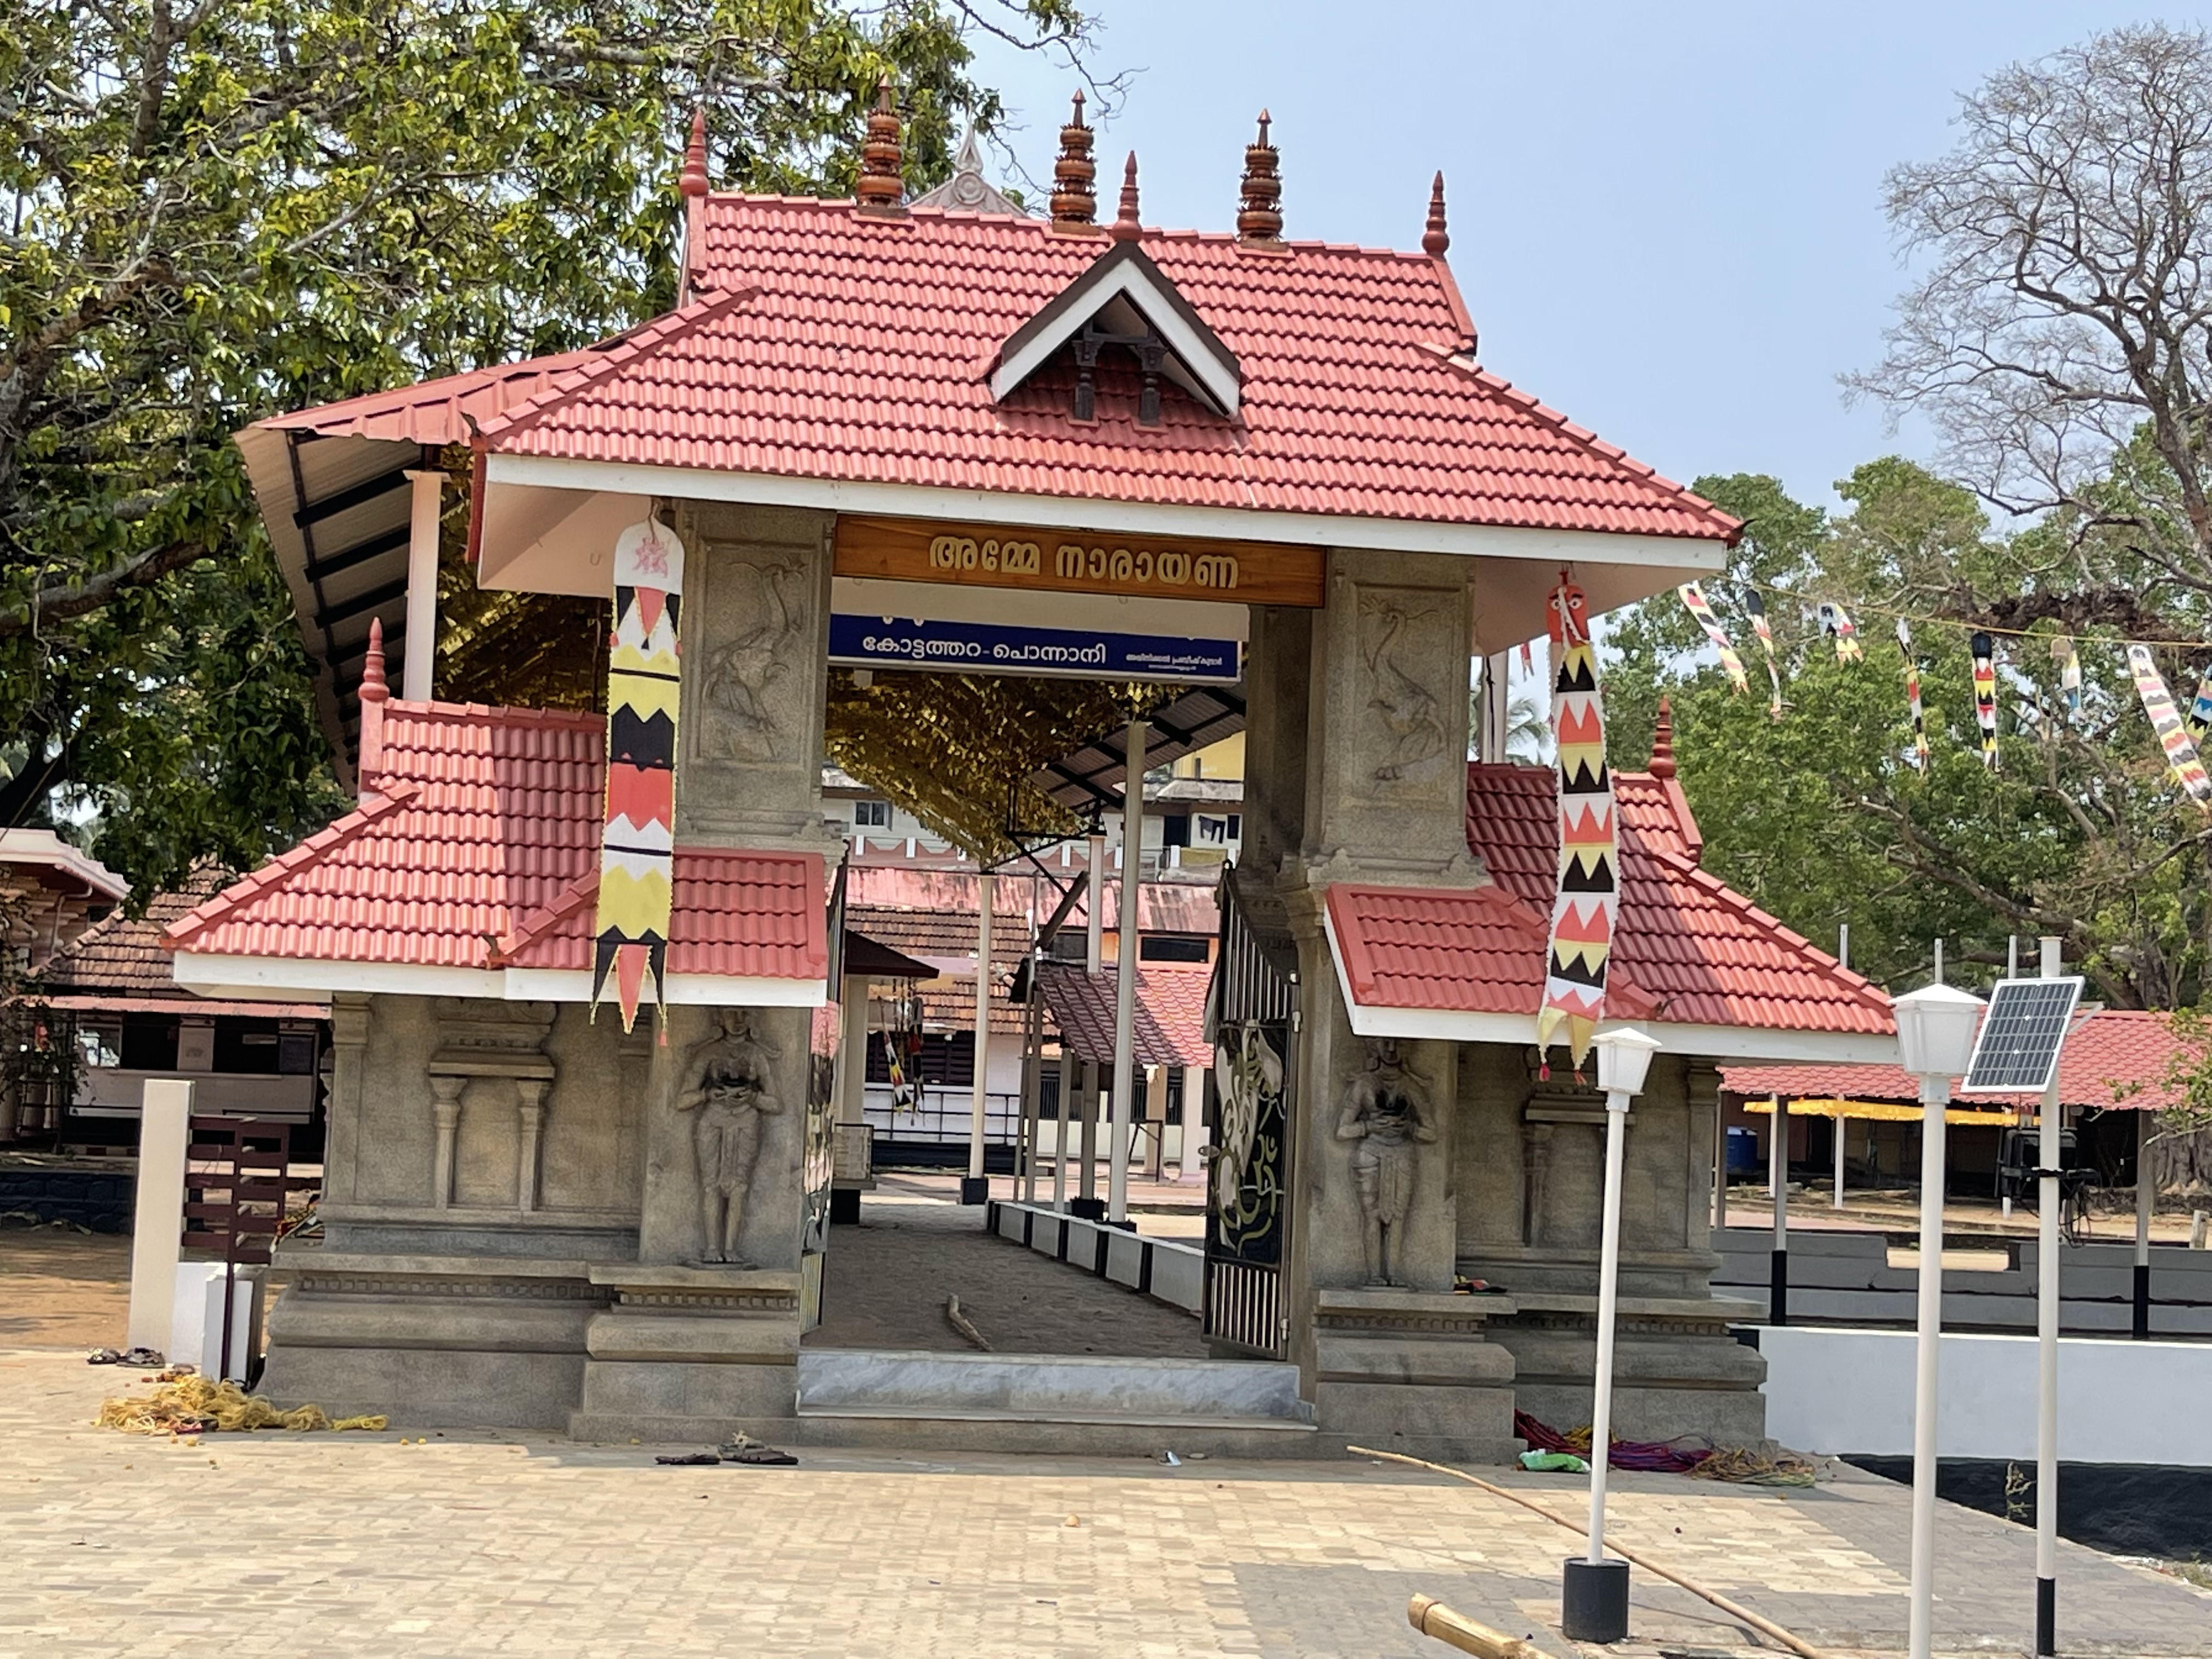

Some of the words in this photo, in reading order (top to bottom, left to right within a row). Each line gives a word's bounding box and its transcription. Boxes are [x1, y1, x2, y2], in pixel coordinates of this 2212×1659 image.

[923, 531, 1045, 582] അമ്മേ
[1052, 541, 1244, 592] നാരായണ
[860, 634, 985, 662] കോട്ടത്തറ
[989, 636, 1110, 668] പൊന്നാനി